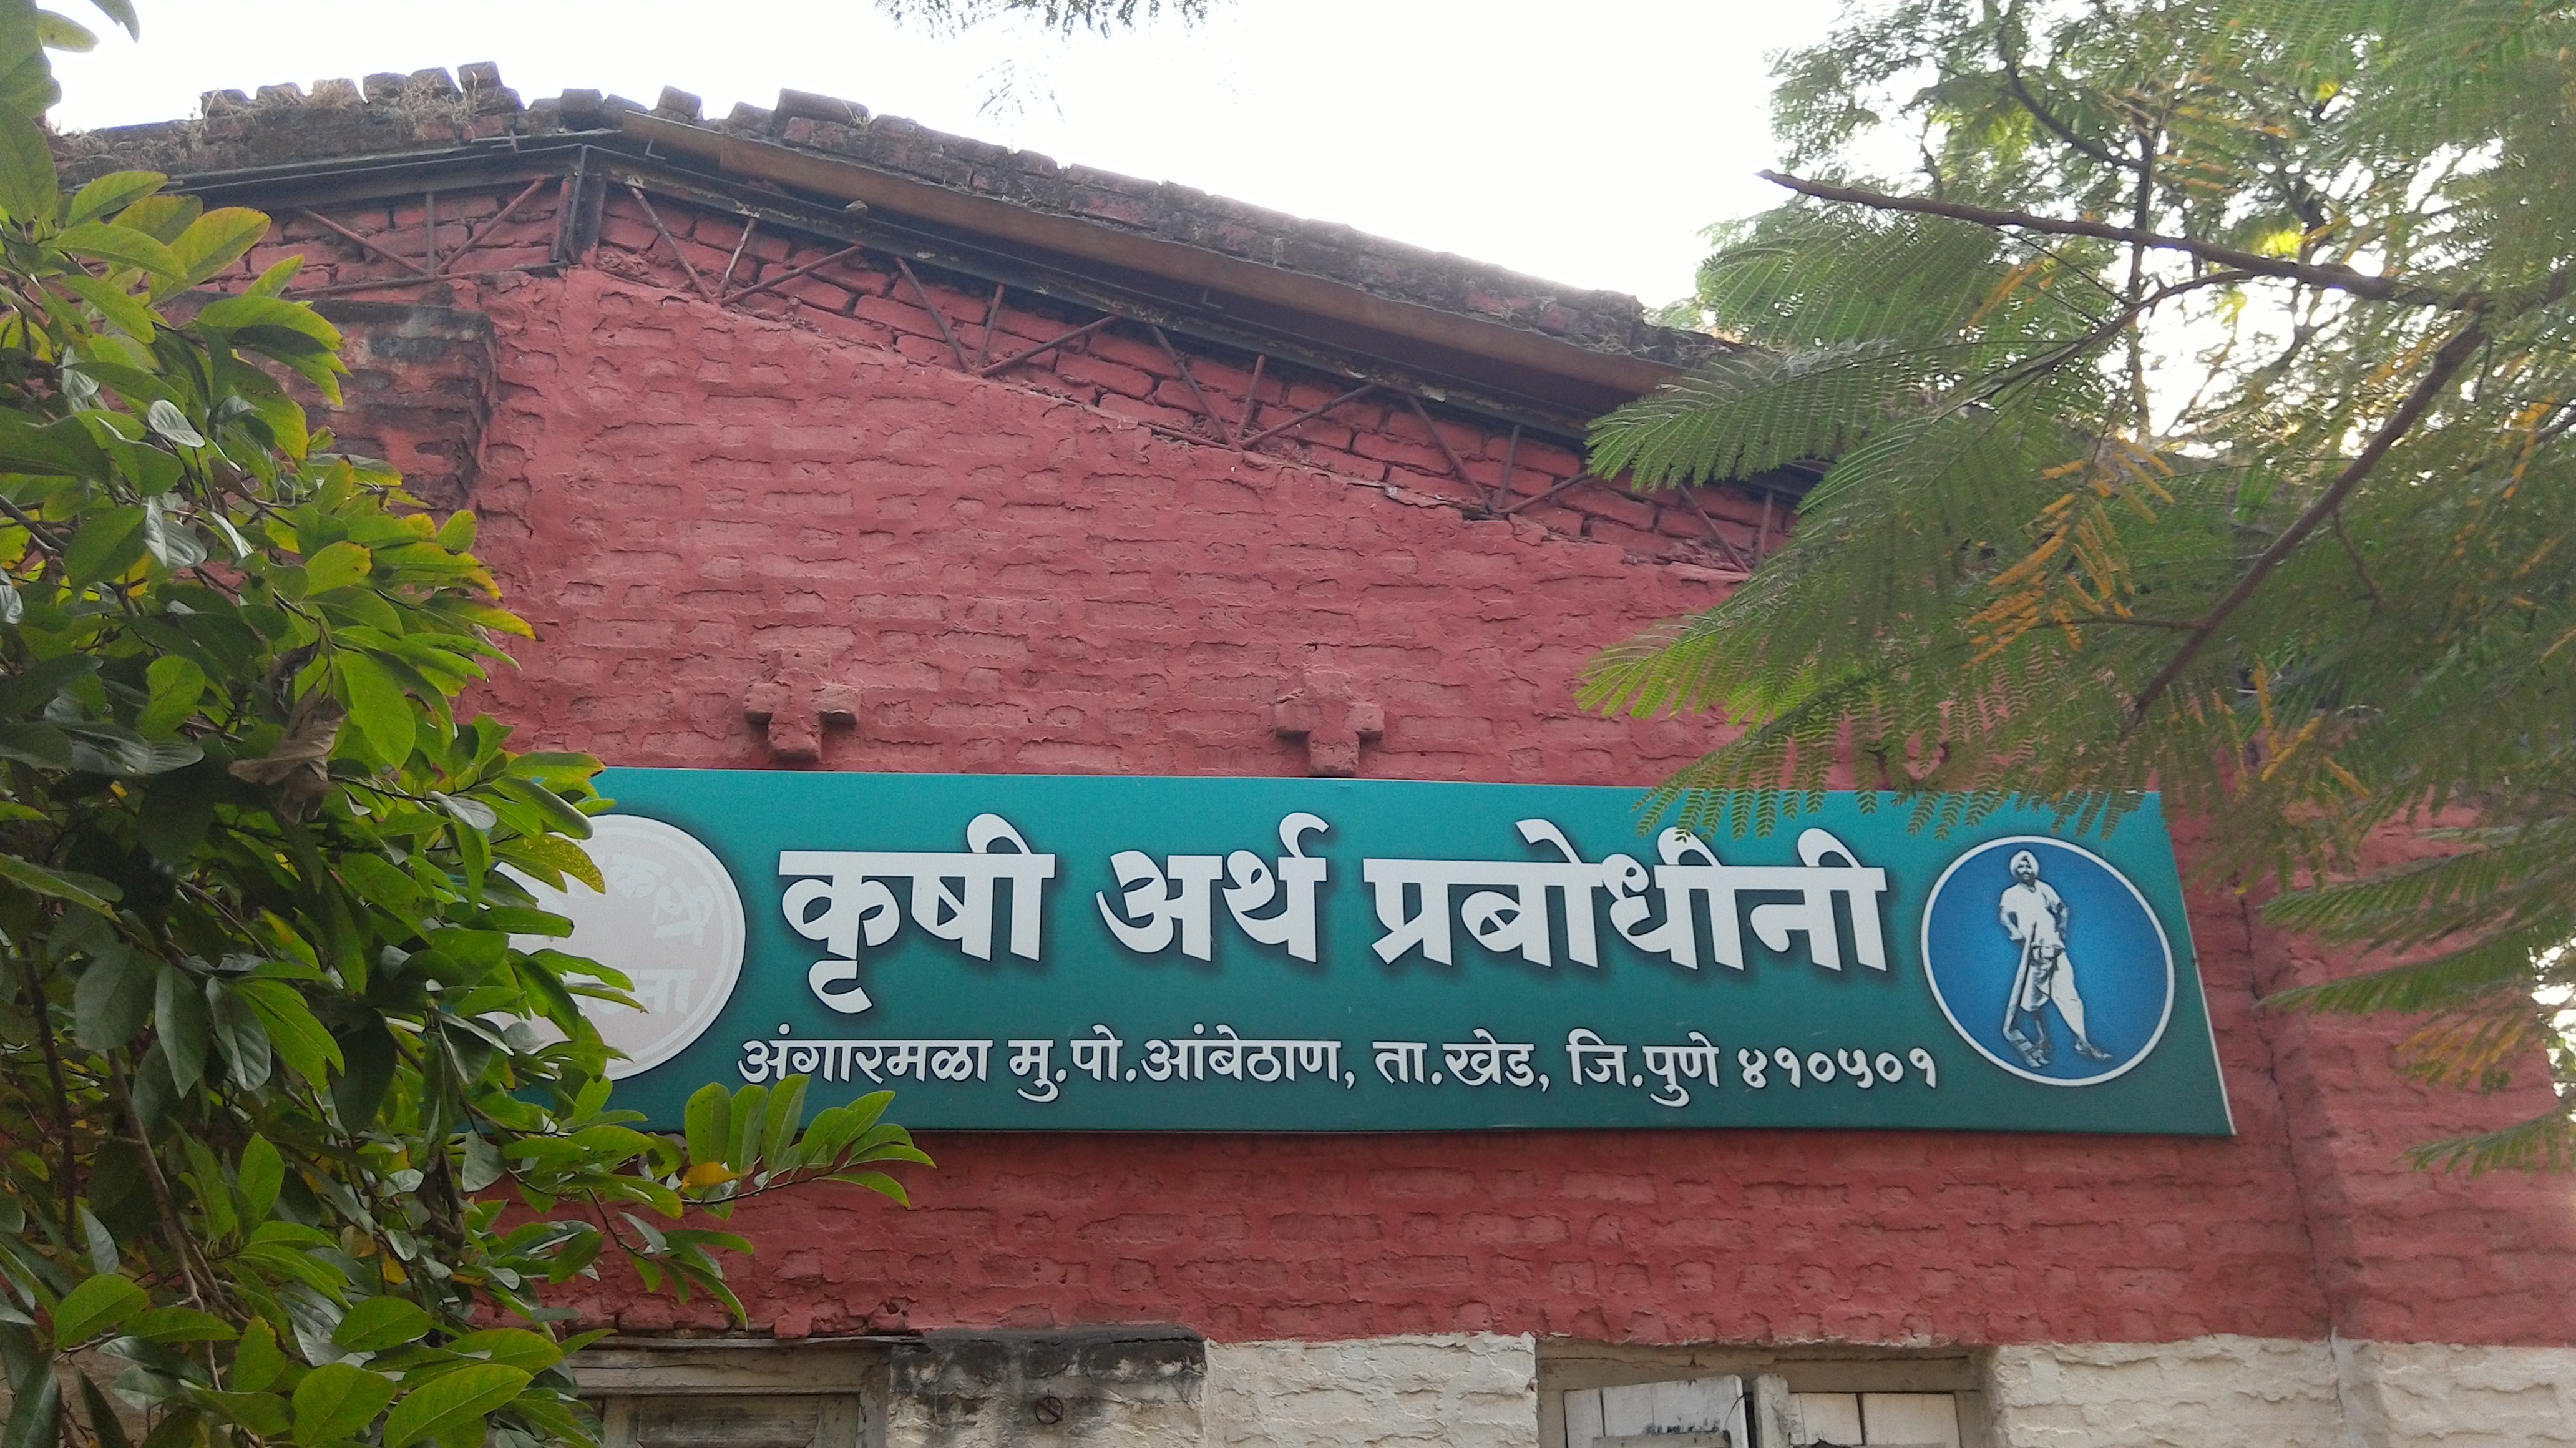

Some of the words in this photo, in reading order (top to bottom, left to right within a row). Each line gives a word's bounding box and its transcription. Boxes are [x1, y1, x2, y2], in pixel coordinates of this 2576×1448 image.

[776, 790, 1059, 1022] कृषी
[1096, 805, 1345, 976] अर्थ
[1364, 813, 1898, 980] प्रबोधीनी
[736, 1015, 997, 1088] अंगारमळा
[1005, 1009, 1141, 1111] मु.पो.
[1136, 1014, 1349, 1084] आंबेठाण
[1365, 1035, 1435, 1086] ता
[1435, 1029, 1539, 1094] खेड
[1555, 1020, 1724, 1112] जि.पुणे
[1729, 1038, 1941, 1094] ४१०५०१